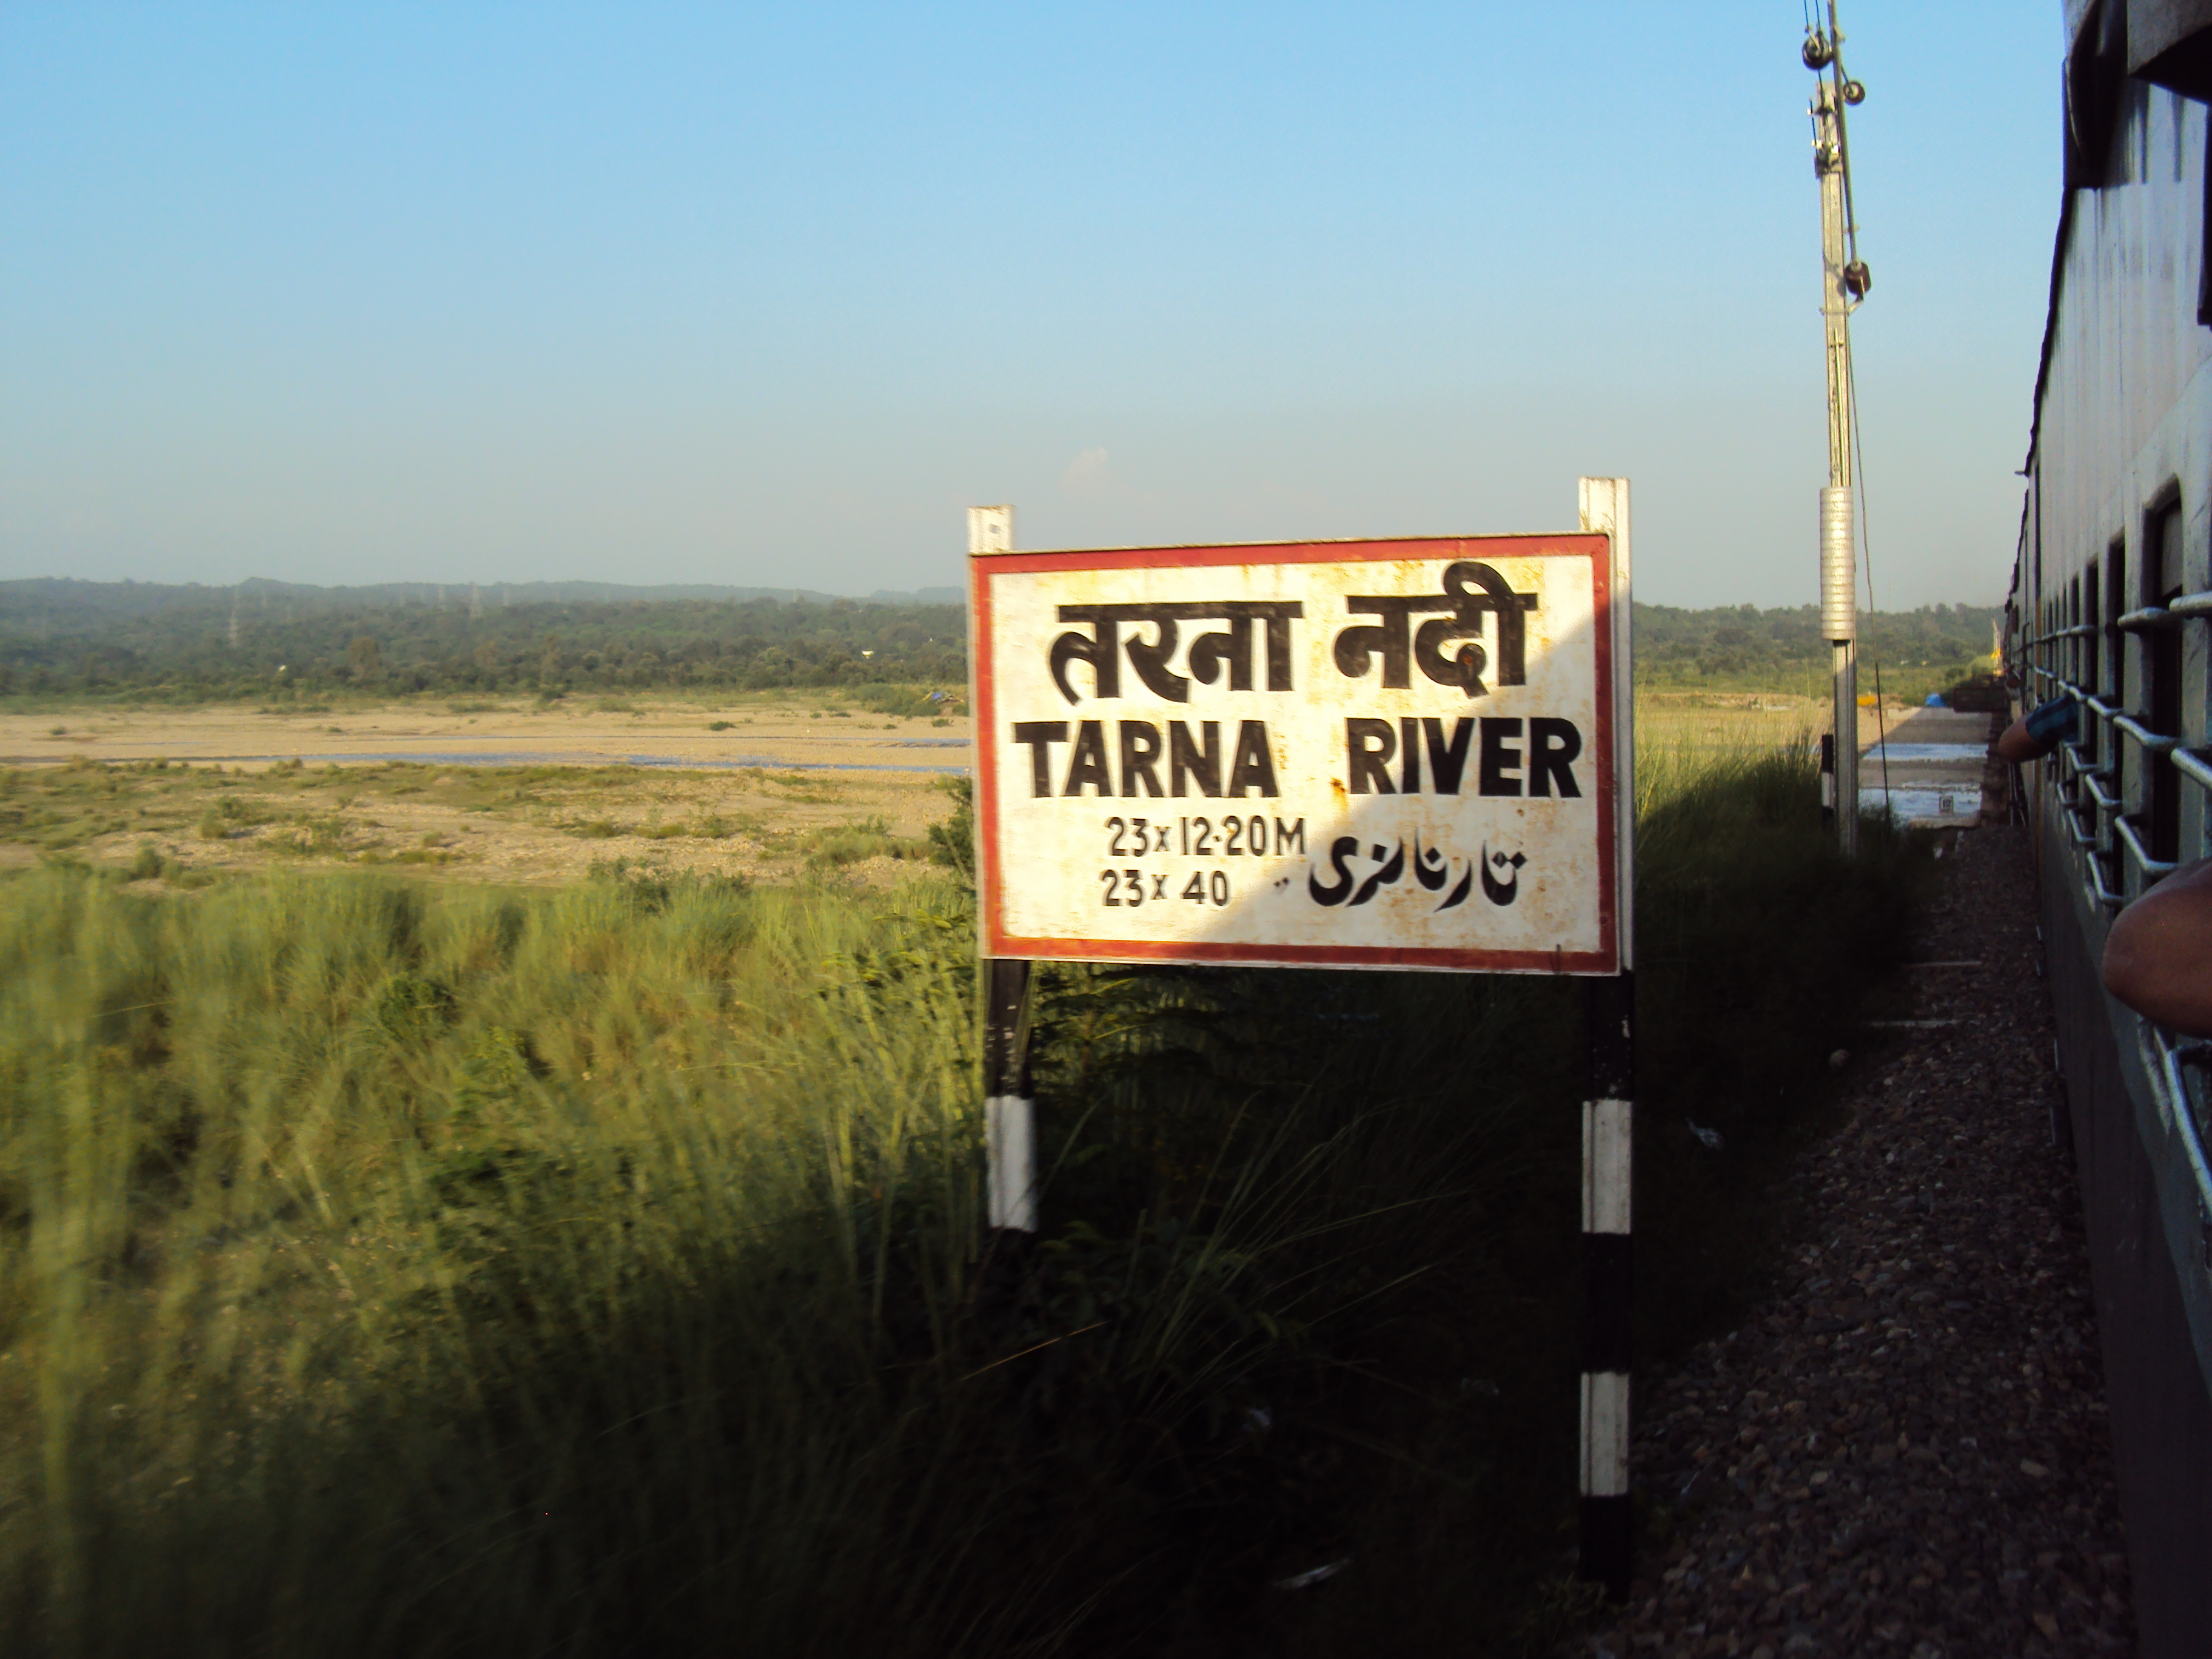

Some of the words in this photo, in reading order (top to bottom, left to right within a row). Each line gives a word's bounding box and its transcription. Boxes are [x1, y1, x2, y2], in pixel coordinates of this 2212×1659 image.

[1039, 595, 1310, 714] तरना
[1313, 557, 1545, 708] नदी
[1010, 716, 1287, 808] TARNA
[1340, 706, 1589, 803] RIVER
[1098, 813, 1175, 863] 23x
[1173, 808, 1312, 862] 12.20M
[1090, 865, 1173, 913] 23x
[1175, 861, 1238, 915] 40